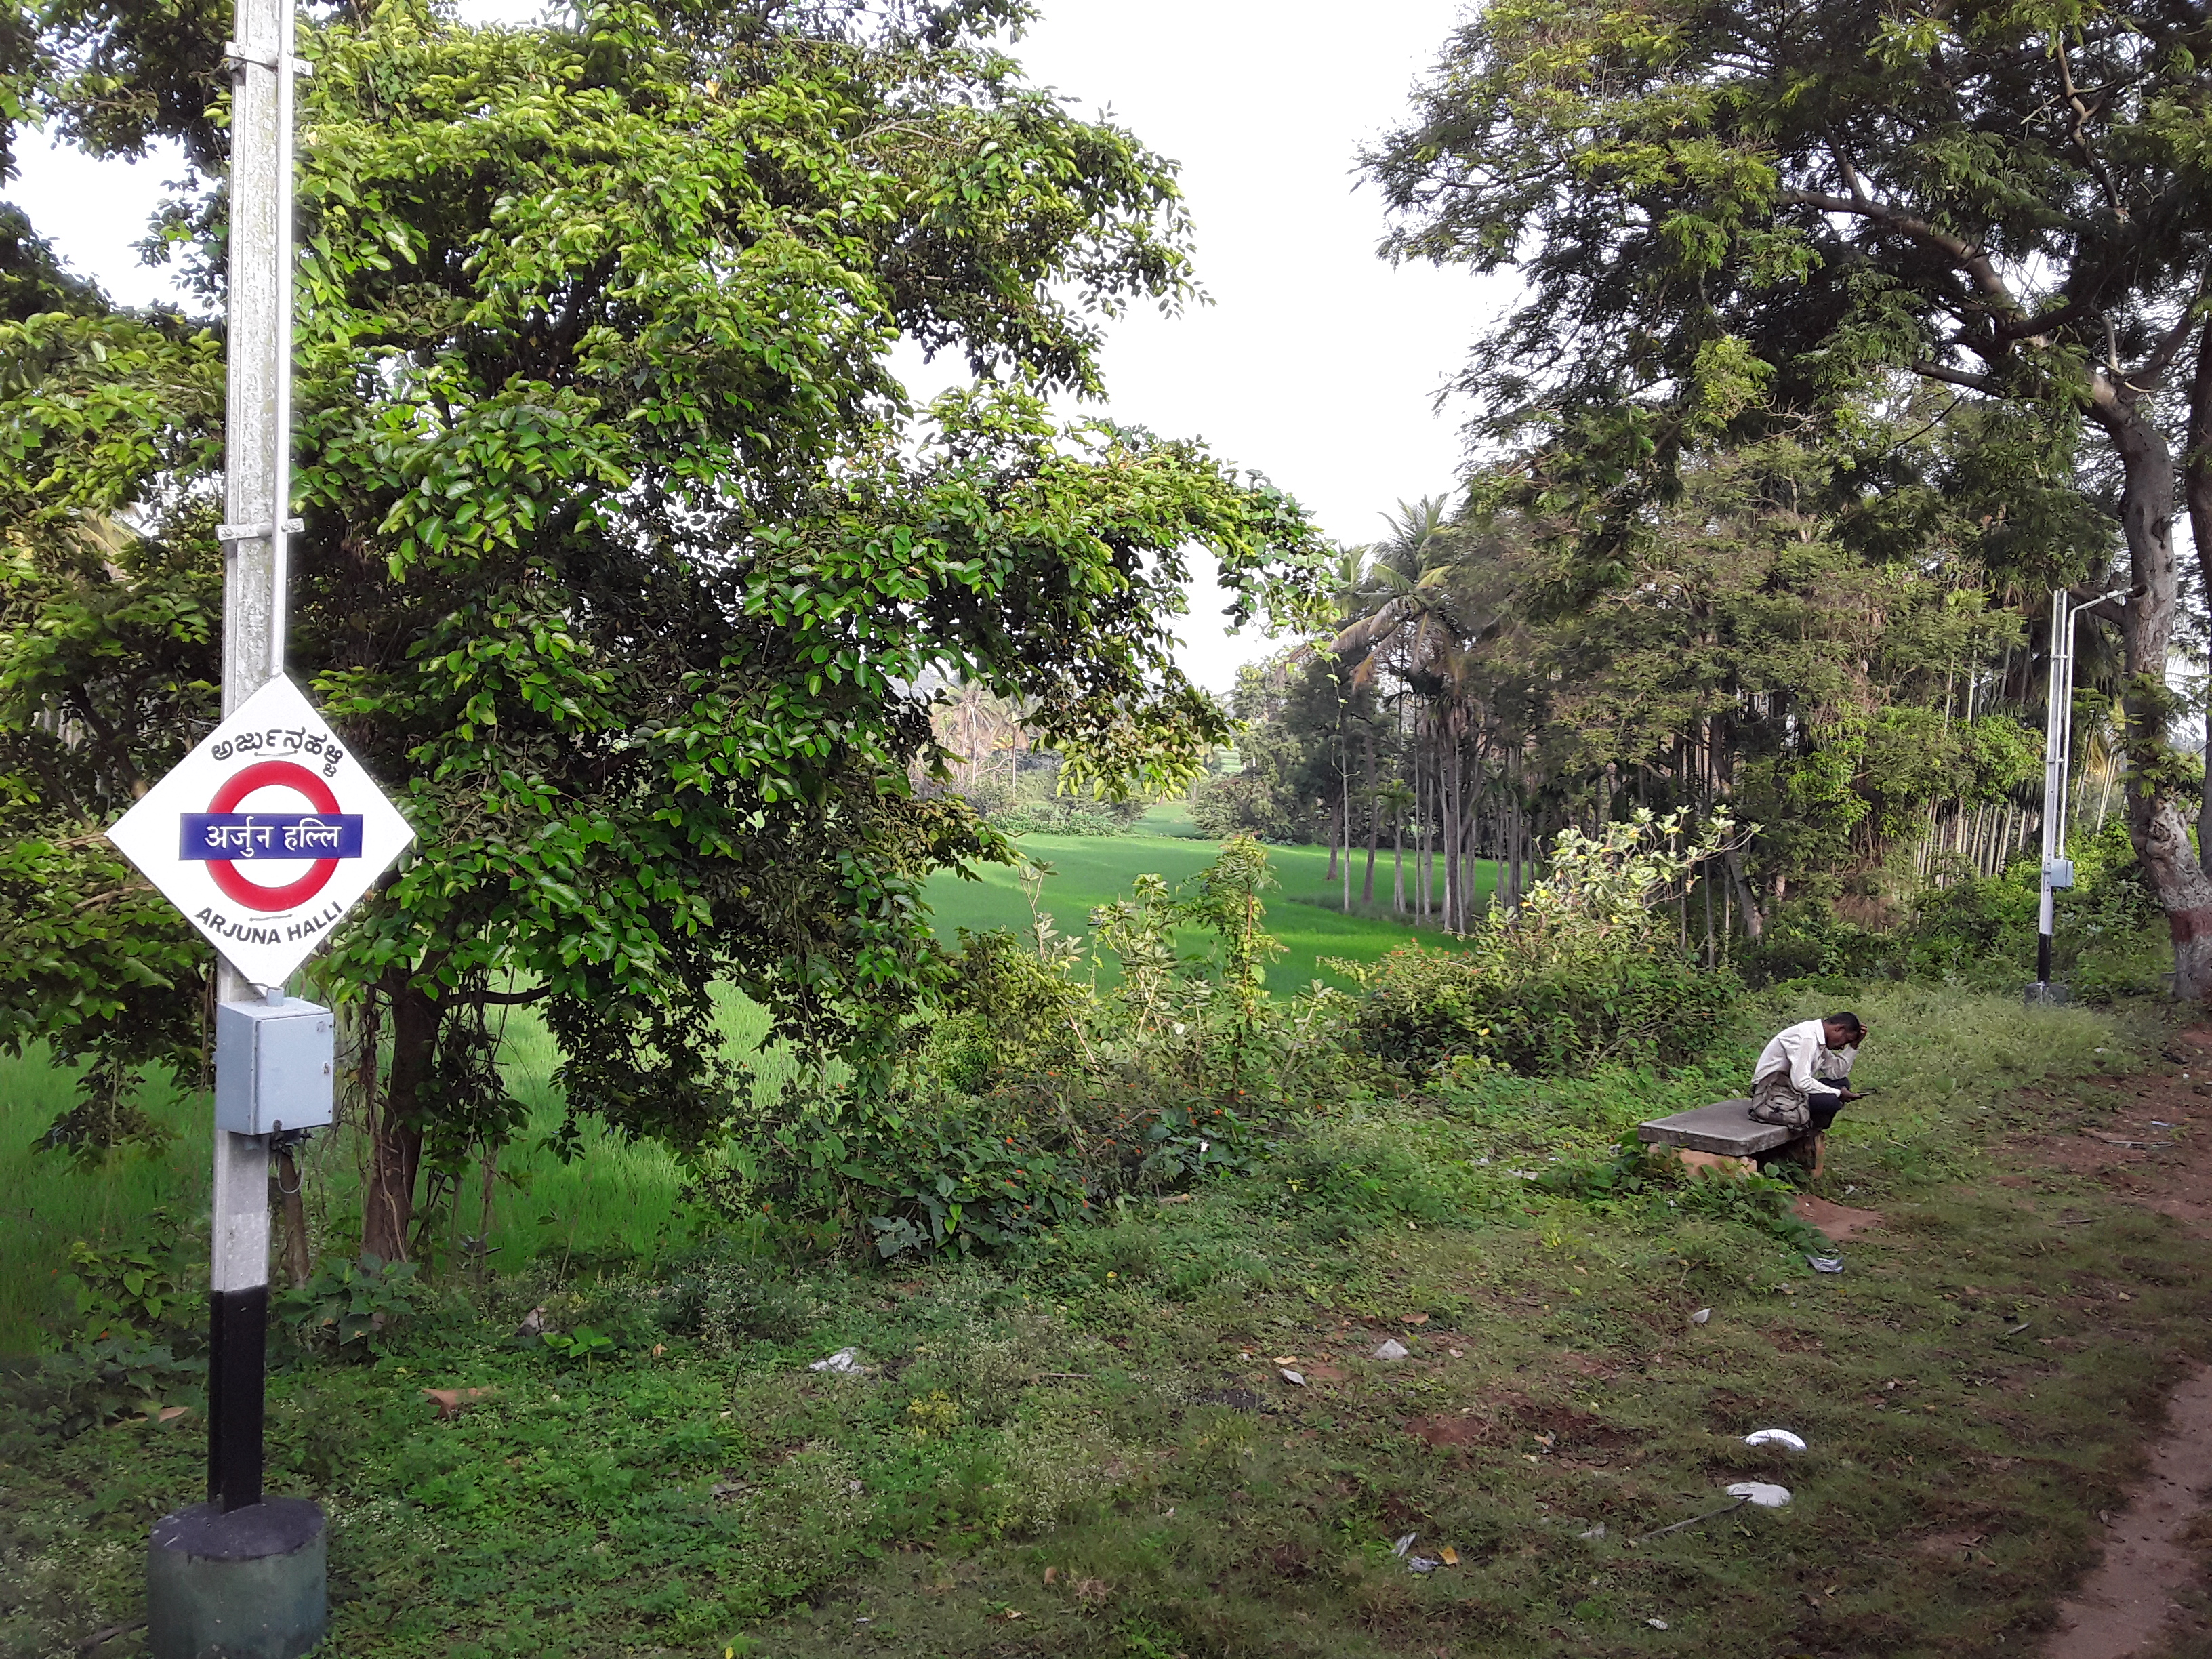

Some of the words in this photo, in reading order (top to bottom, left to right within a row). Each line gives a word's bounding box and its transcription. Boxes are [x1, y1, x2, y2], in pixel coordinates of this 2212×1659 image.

[206, 722, 347, 779] ಅರ್ಜುನಹಳ್ಳಿ
[201, 813, 275, 862] अर्जुन
[279, 811, 342, 853] हल्लि
[191, 903, 283, 947] ARJUNA
[286, 897, 345, 944] HALLI